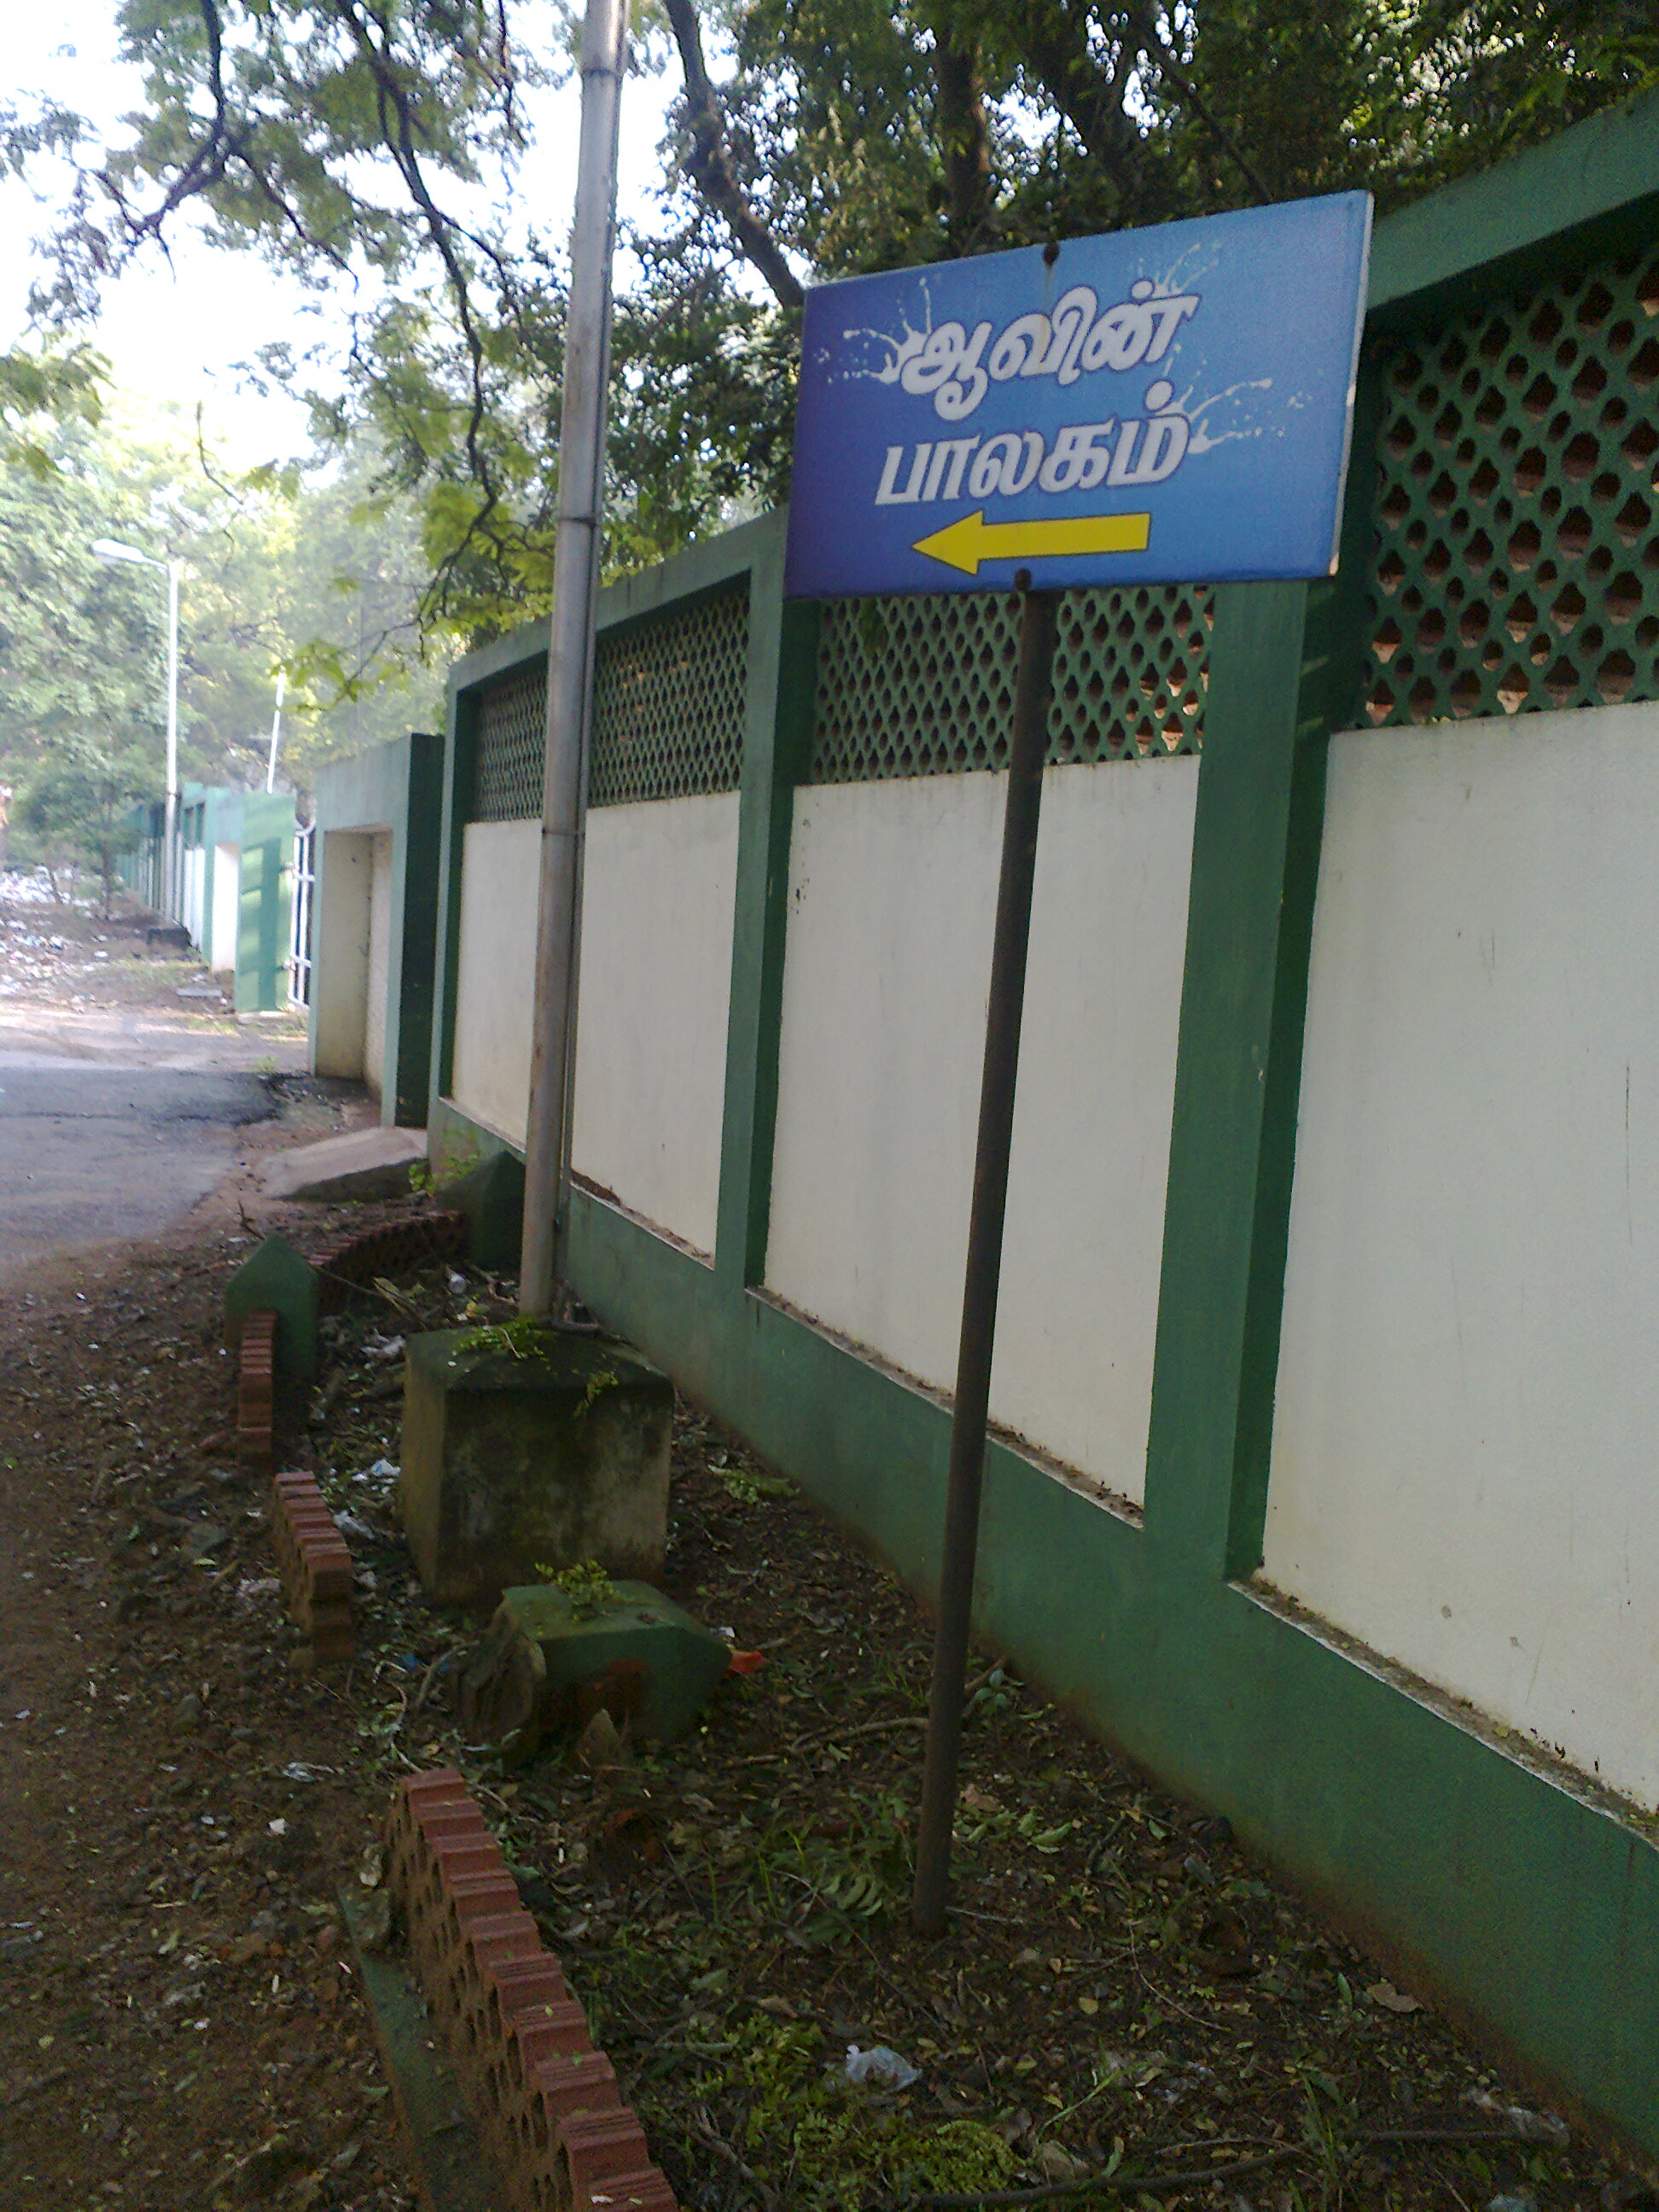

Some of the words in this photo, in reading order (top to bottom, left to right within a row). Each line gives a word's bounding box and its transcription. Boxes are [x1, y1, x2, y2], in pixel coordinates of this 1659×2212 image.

[896, 269, 1204, 429] ஆவின்
[859, 375, 1202, 512] பாலகம்